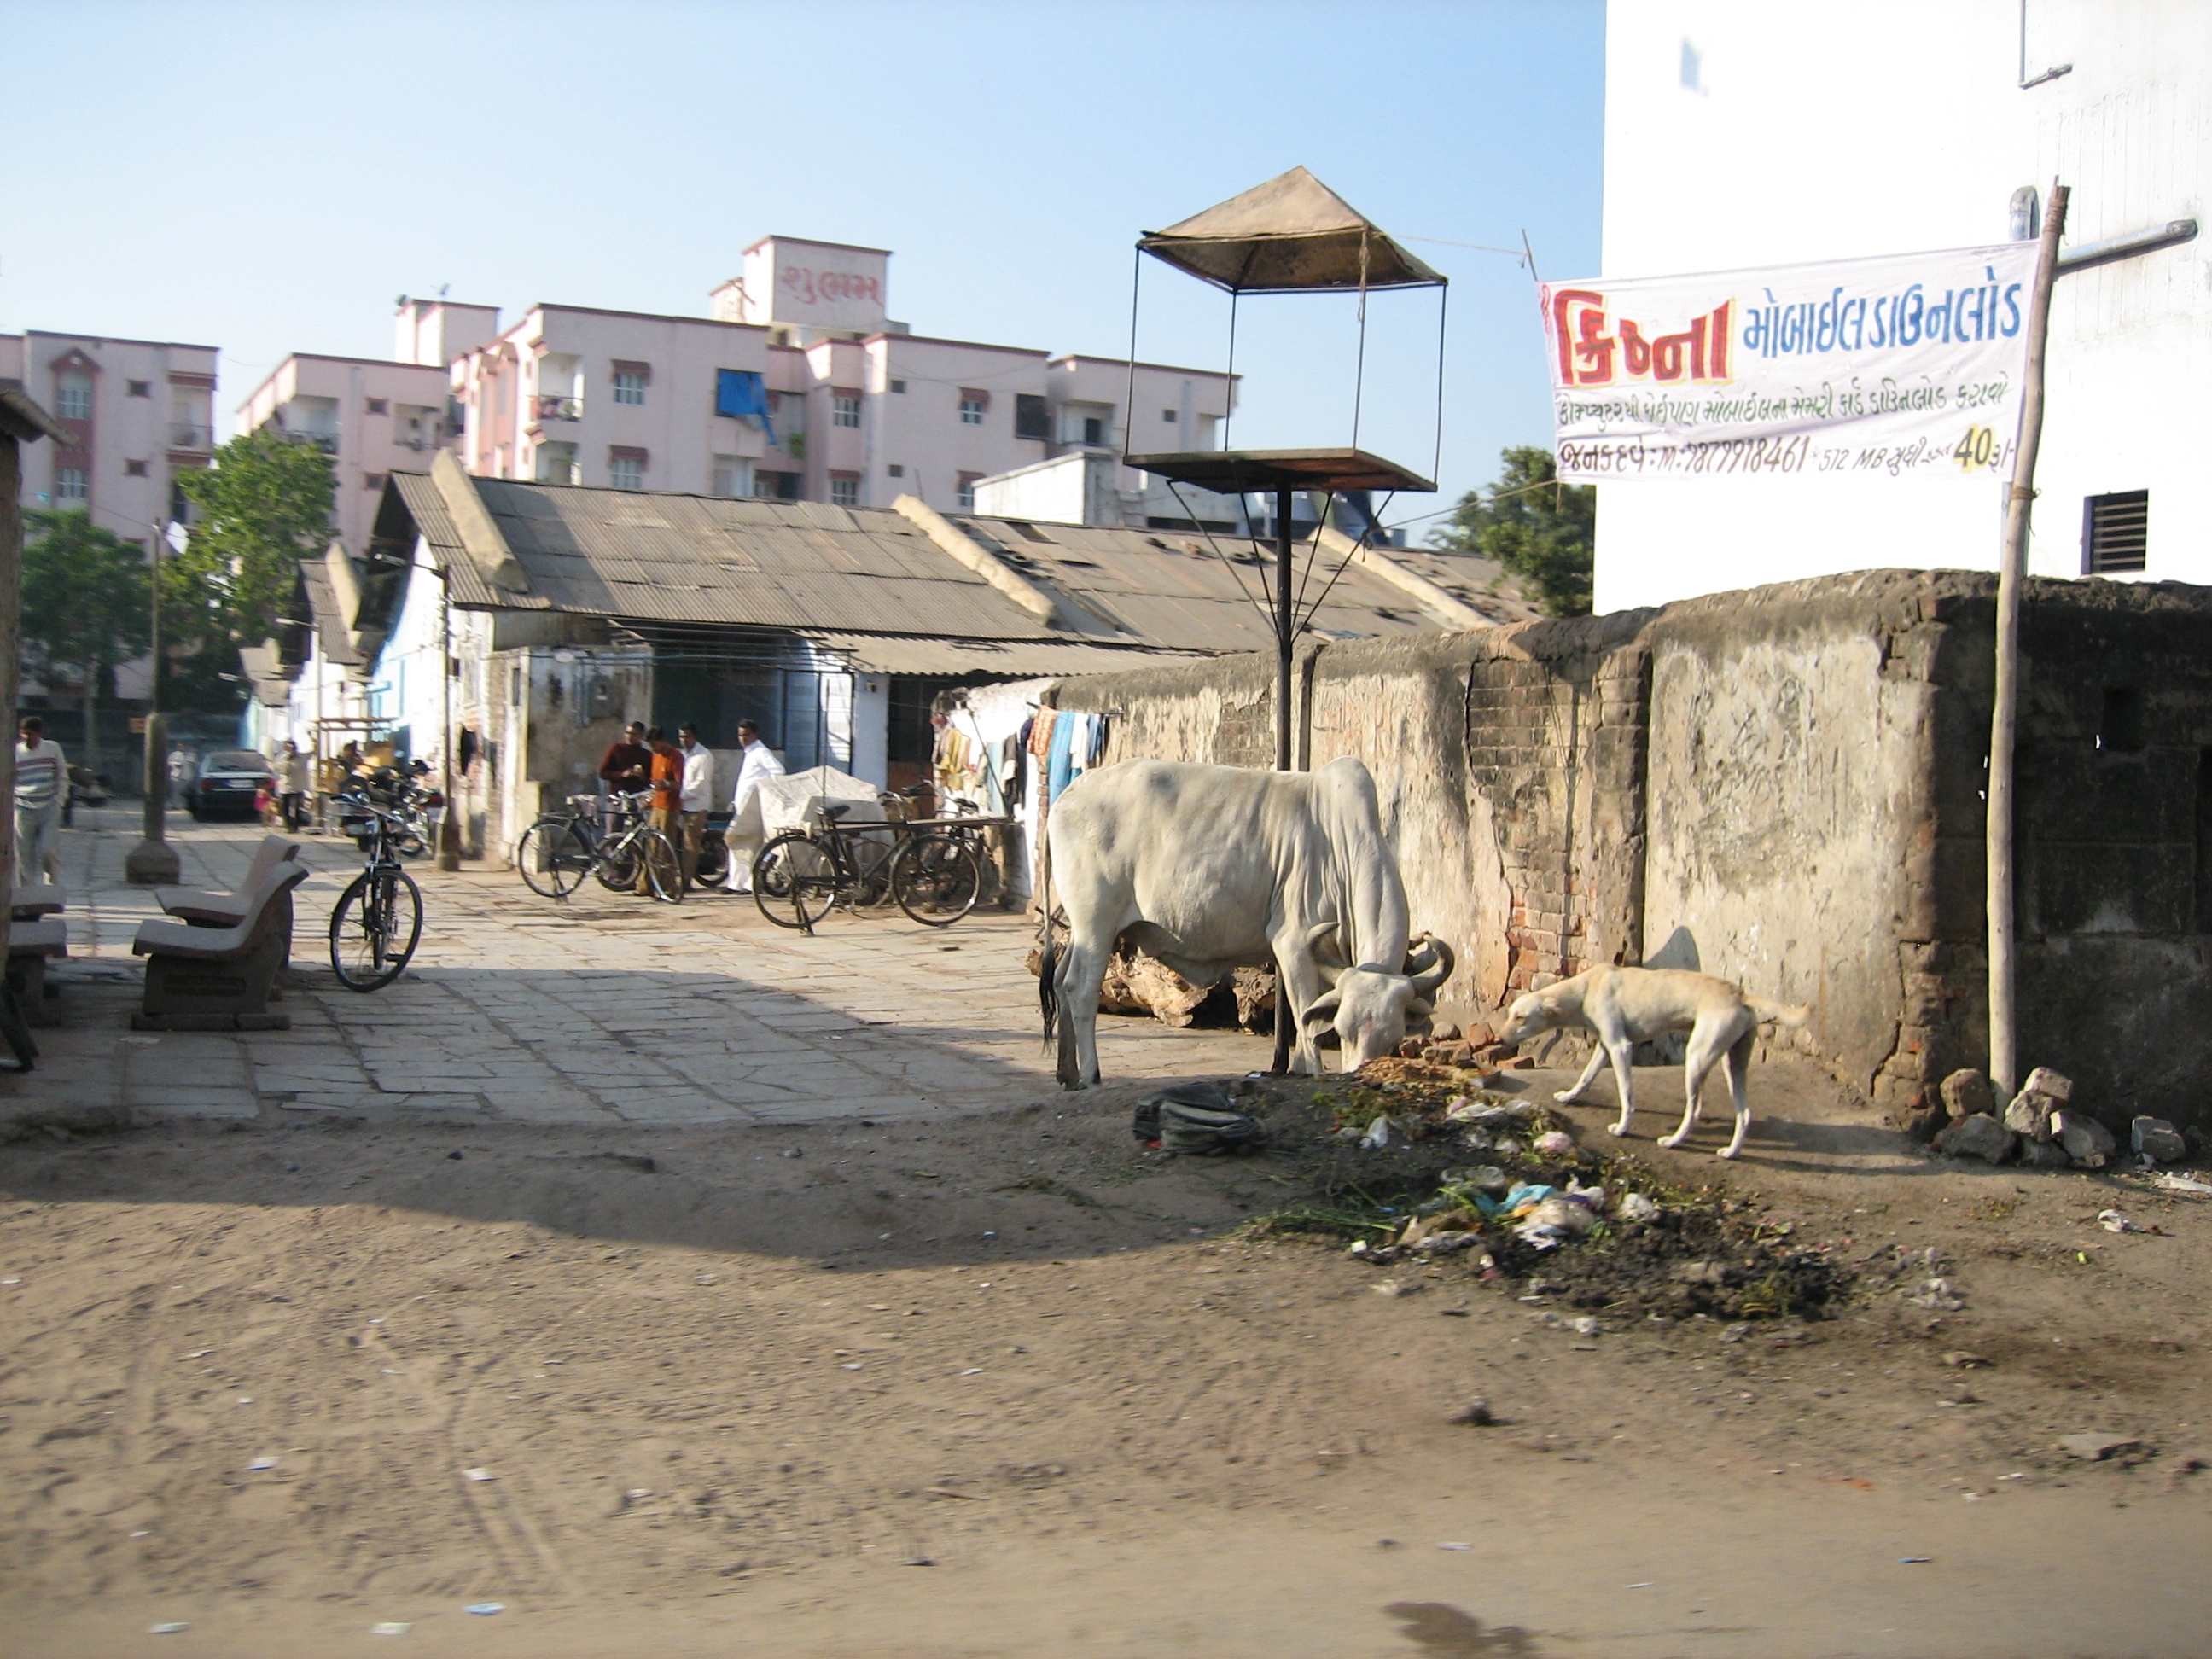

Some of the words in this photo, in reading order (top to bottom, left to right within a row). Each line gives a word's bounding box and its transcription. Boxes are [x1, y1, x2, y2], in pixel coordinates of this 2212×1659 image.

[1746, 273, 2018, 356] મોબાઈલ ડાઉનલોડ
[1557, 291, 1732, 394] ક્રિષ્ના
[1554, 399, 1695, 422] કોમ્પ્યુટરથી કોઈપણ
[1702, 376, 1947, 422] મોબાઈલ મેમરી કાર્ડ ડાઉનલોડ
[1953, 374, 2007, 405] કરાવા
[1724, 442, 1793, 469] 91846
[1818, 446, 1846, 474] 572